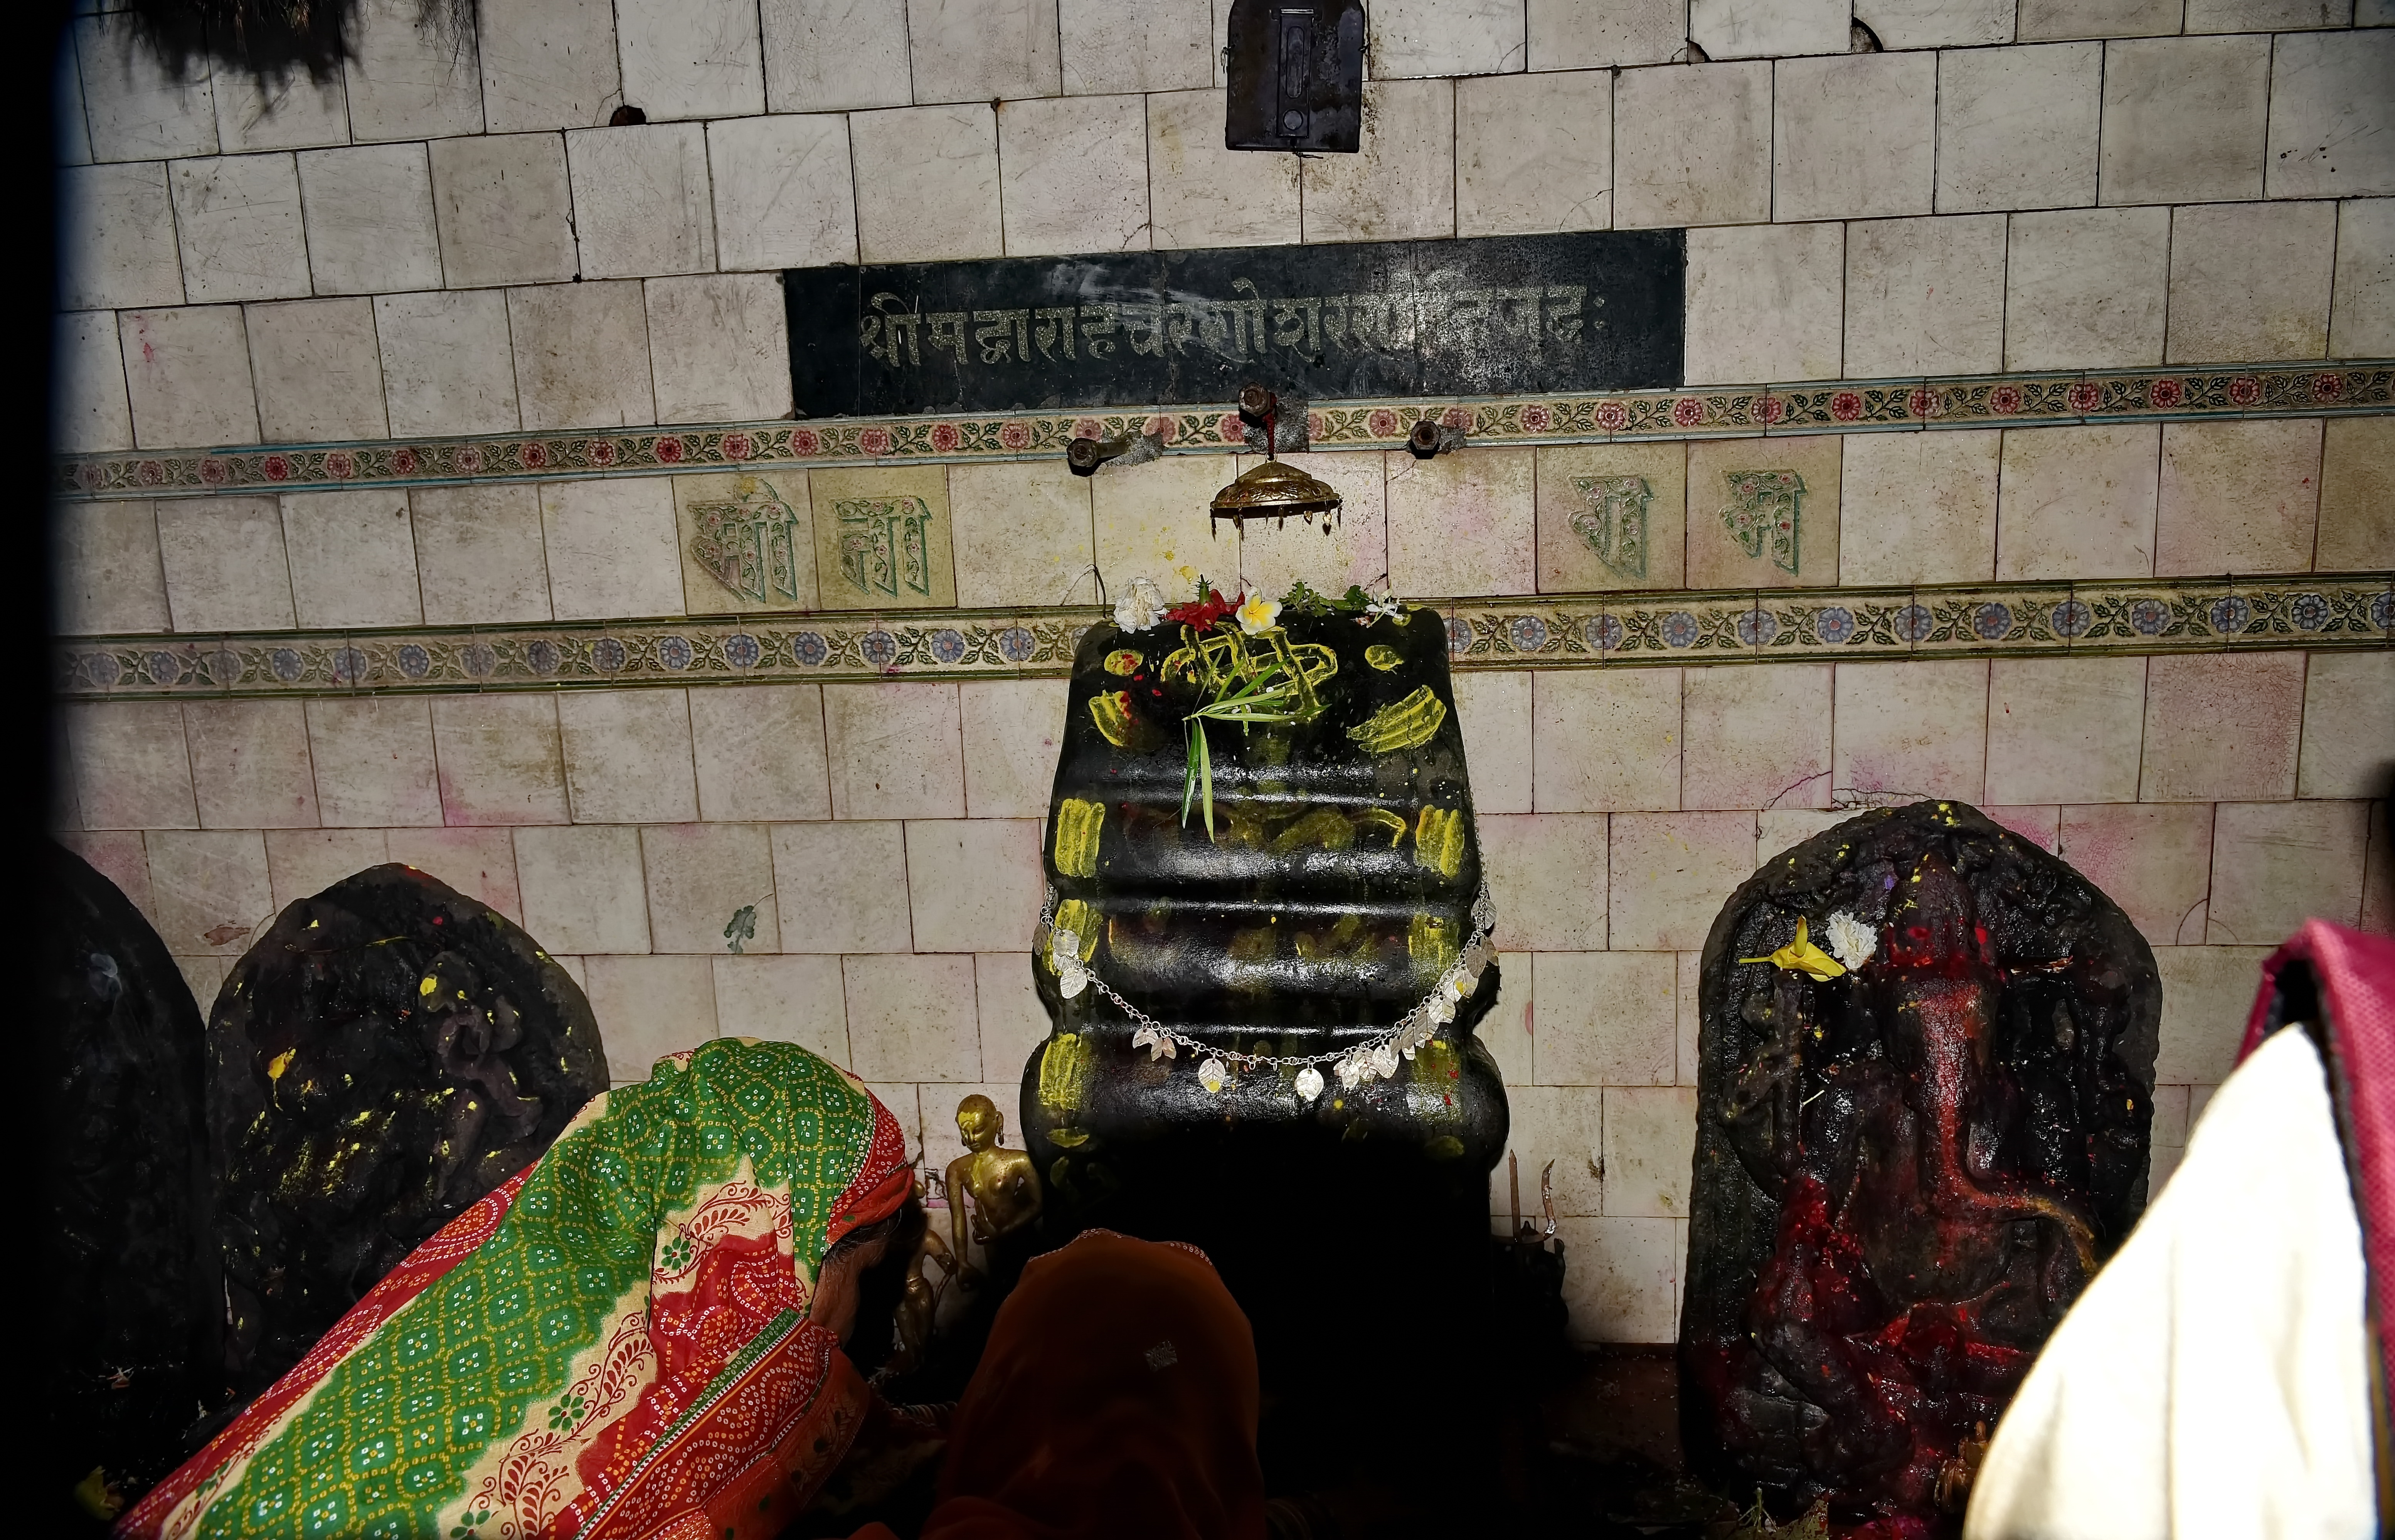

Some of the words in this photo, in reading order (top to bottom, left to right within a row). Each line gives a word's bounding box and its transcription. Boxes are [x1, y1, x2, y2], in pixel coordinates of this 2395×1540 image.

[853, 289, 922, 372] श्री
[924, 308, 969, 369] म
[971, 305, 1076, 375] द्वारा
[1075, 298, 1120, 365] ह
[1120, 298, 1197, 361] चर
[1196, 274, 1269, 366] सो
[1272, 293, 1322, 368] श
[685, 473, 804, 605] मी
[831, 493, 934, 598] ता
[1718, 468, 1807, 576] म